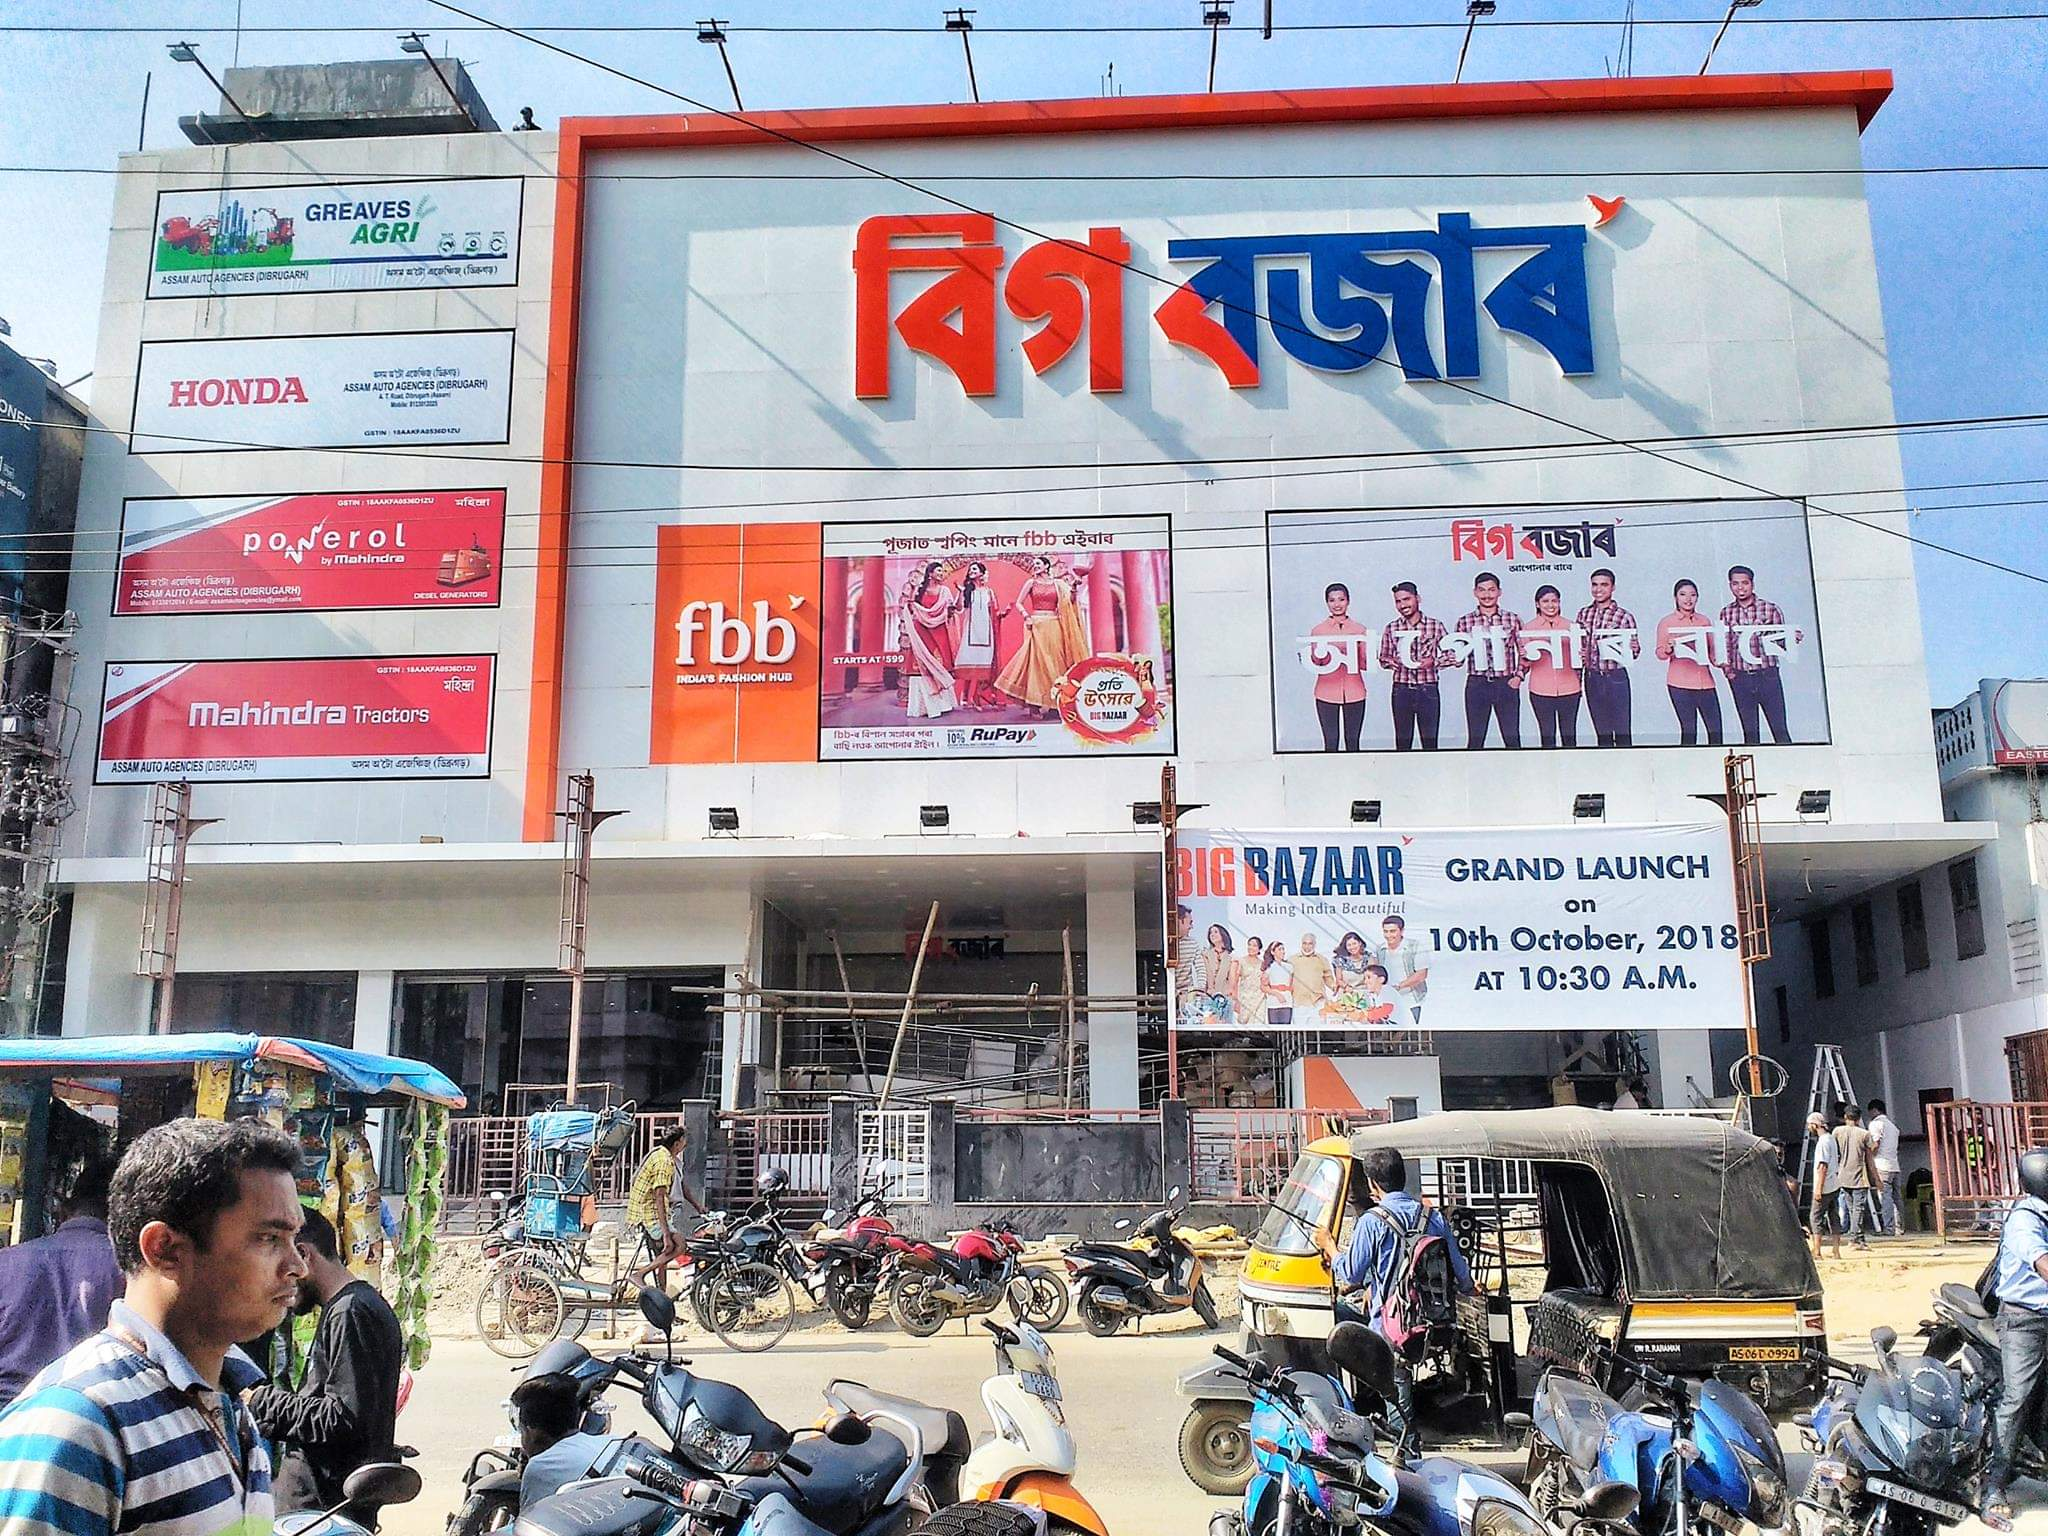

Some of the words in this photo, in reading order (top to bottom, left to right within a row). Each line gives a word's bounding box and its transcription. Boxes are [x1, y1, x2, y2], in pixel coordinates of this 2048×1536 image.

[301, 194, 415, 225] GREAVES
[345, 217, 419, 248] AGRI
[157, 269, 192, 292] ASSAM
[184, 265, 221, 289] AUTOA
[211, 265, 259, 287] AGENCIES
[253, 262, 314, 286] (DIBRUGARH)
[455, 259, 499, 281] (ডিব্ৰুগড়)
[830, 200, 1148, 426] বিগ
[1143, 203, 1600, 404] বজাৰ
[165, 370, 313, 412] HONDA
[338, 377, 374, 398] ASSAM
[367, 375, 398, 397] AUTO
[387, 372, 444, 393] AGENCIES
[434, 375, 489, 391] (DIBRUGARH)
[242, 517, 408, 559] poNerol
[315, 551, 335, 571] by
[329, 541, 414, 569] Mahindra
[873, 525, 936, 562] পূজাত
[931, 527, 981, 557] শপিং
[979, 526, 1026, 554] মানে
[1020, 524, 1065, 551] fbb
[1053, 524, 1120, 553] এইবাৰ
[1503, 557, 1557, 578] আপোনাৰ
[1437, 510, 1624, 569] বিগবজাৰ
[1547, 558, 1580, 576] বাবে
[121, 581, 171, 603] ASSAM
[159, 582, 194, 603] AUTO
[188, 579, 243, 603] AGENCIES
[237, 578, 303, 599] (DIBRUGARH)
[667, 591, 799, 672] fbb
[1292, 612, 1643, 680] আপোনাৰ
[1663, 614, 1813, 676] বাকে
[437, 670, 480, 700] মহিন্দ্রা
[672, 663, 721, 691] INDIA
[715, 664, 771, 687] FASHION
[761, 666, 797, 686] HUB
[1077, 682, 1139, 711] উৎসৱে
[1091, 671, 1130, 697] প্ৰতি
[187, 691, 355, 731] Mahindra
[351, 701, 435, 729] Tractors
[1083, 704, 1133, 725] BIGBAZAAR
[855, 722, 892, 741] বিশাল
[965, 717, 1037, 749] RuPay
[105, 754, 145, 777] ASSAMA
[135, 753, 170, 777] AUTO
[159, 754, 209, 776] AGENCIES
[204, 753, 257, 776] DIBRUGARH)
[390, 749, 436, 773] এজেন্সিজ
[429, 750, 472, 773] (ডিব্ৰুগড়)
[1162, 827, 1247, 904] BIG
[1238, 837, 1411, 905] BAZAAR
[1440, 845, 1572, 890] GRAND
[1572, 849, 1719, 886] LAUNCH
[1237, 893, 1304, 925] Making
[1291, 890, 1343, 921] India
[1336, 892, 1413, 920] Beautiful
[1554, 889, 1601, 916] on
[1426, 917, 1507, 960] 10th
[1495, 913, 1647, 958] October,
[1656, 918, 1747, 954] 2018
[1466, 962, 1509, 1002] AT
[1515, 956, 1610, 998] 10:30
[1616, 955, 1705, 1001] A.M.